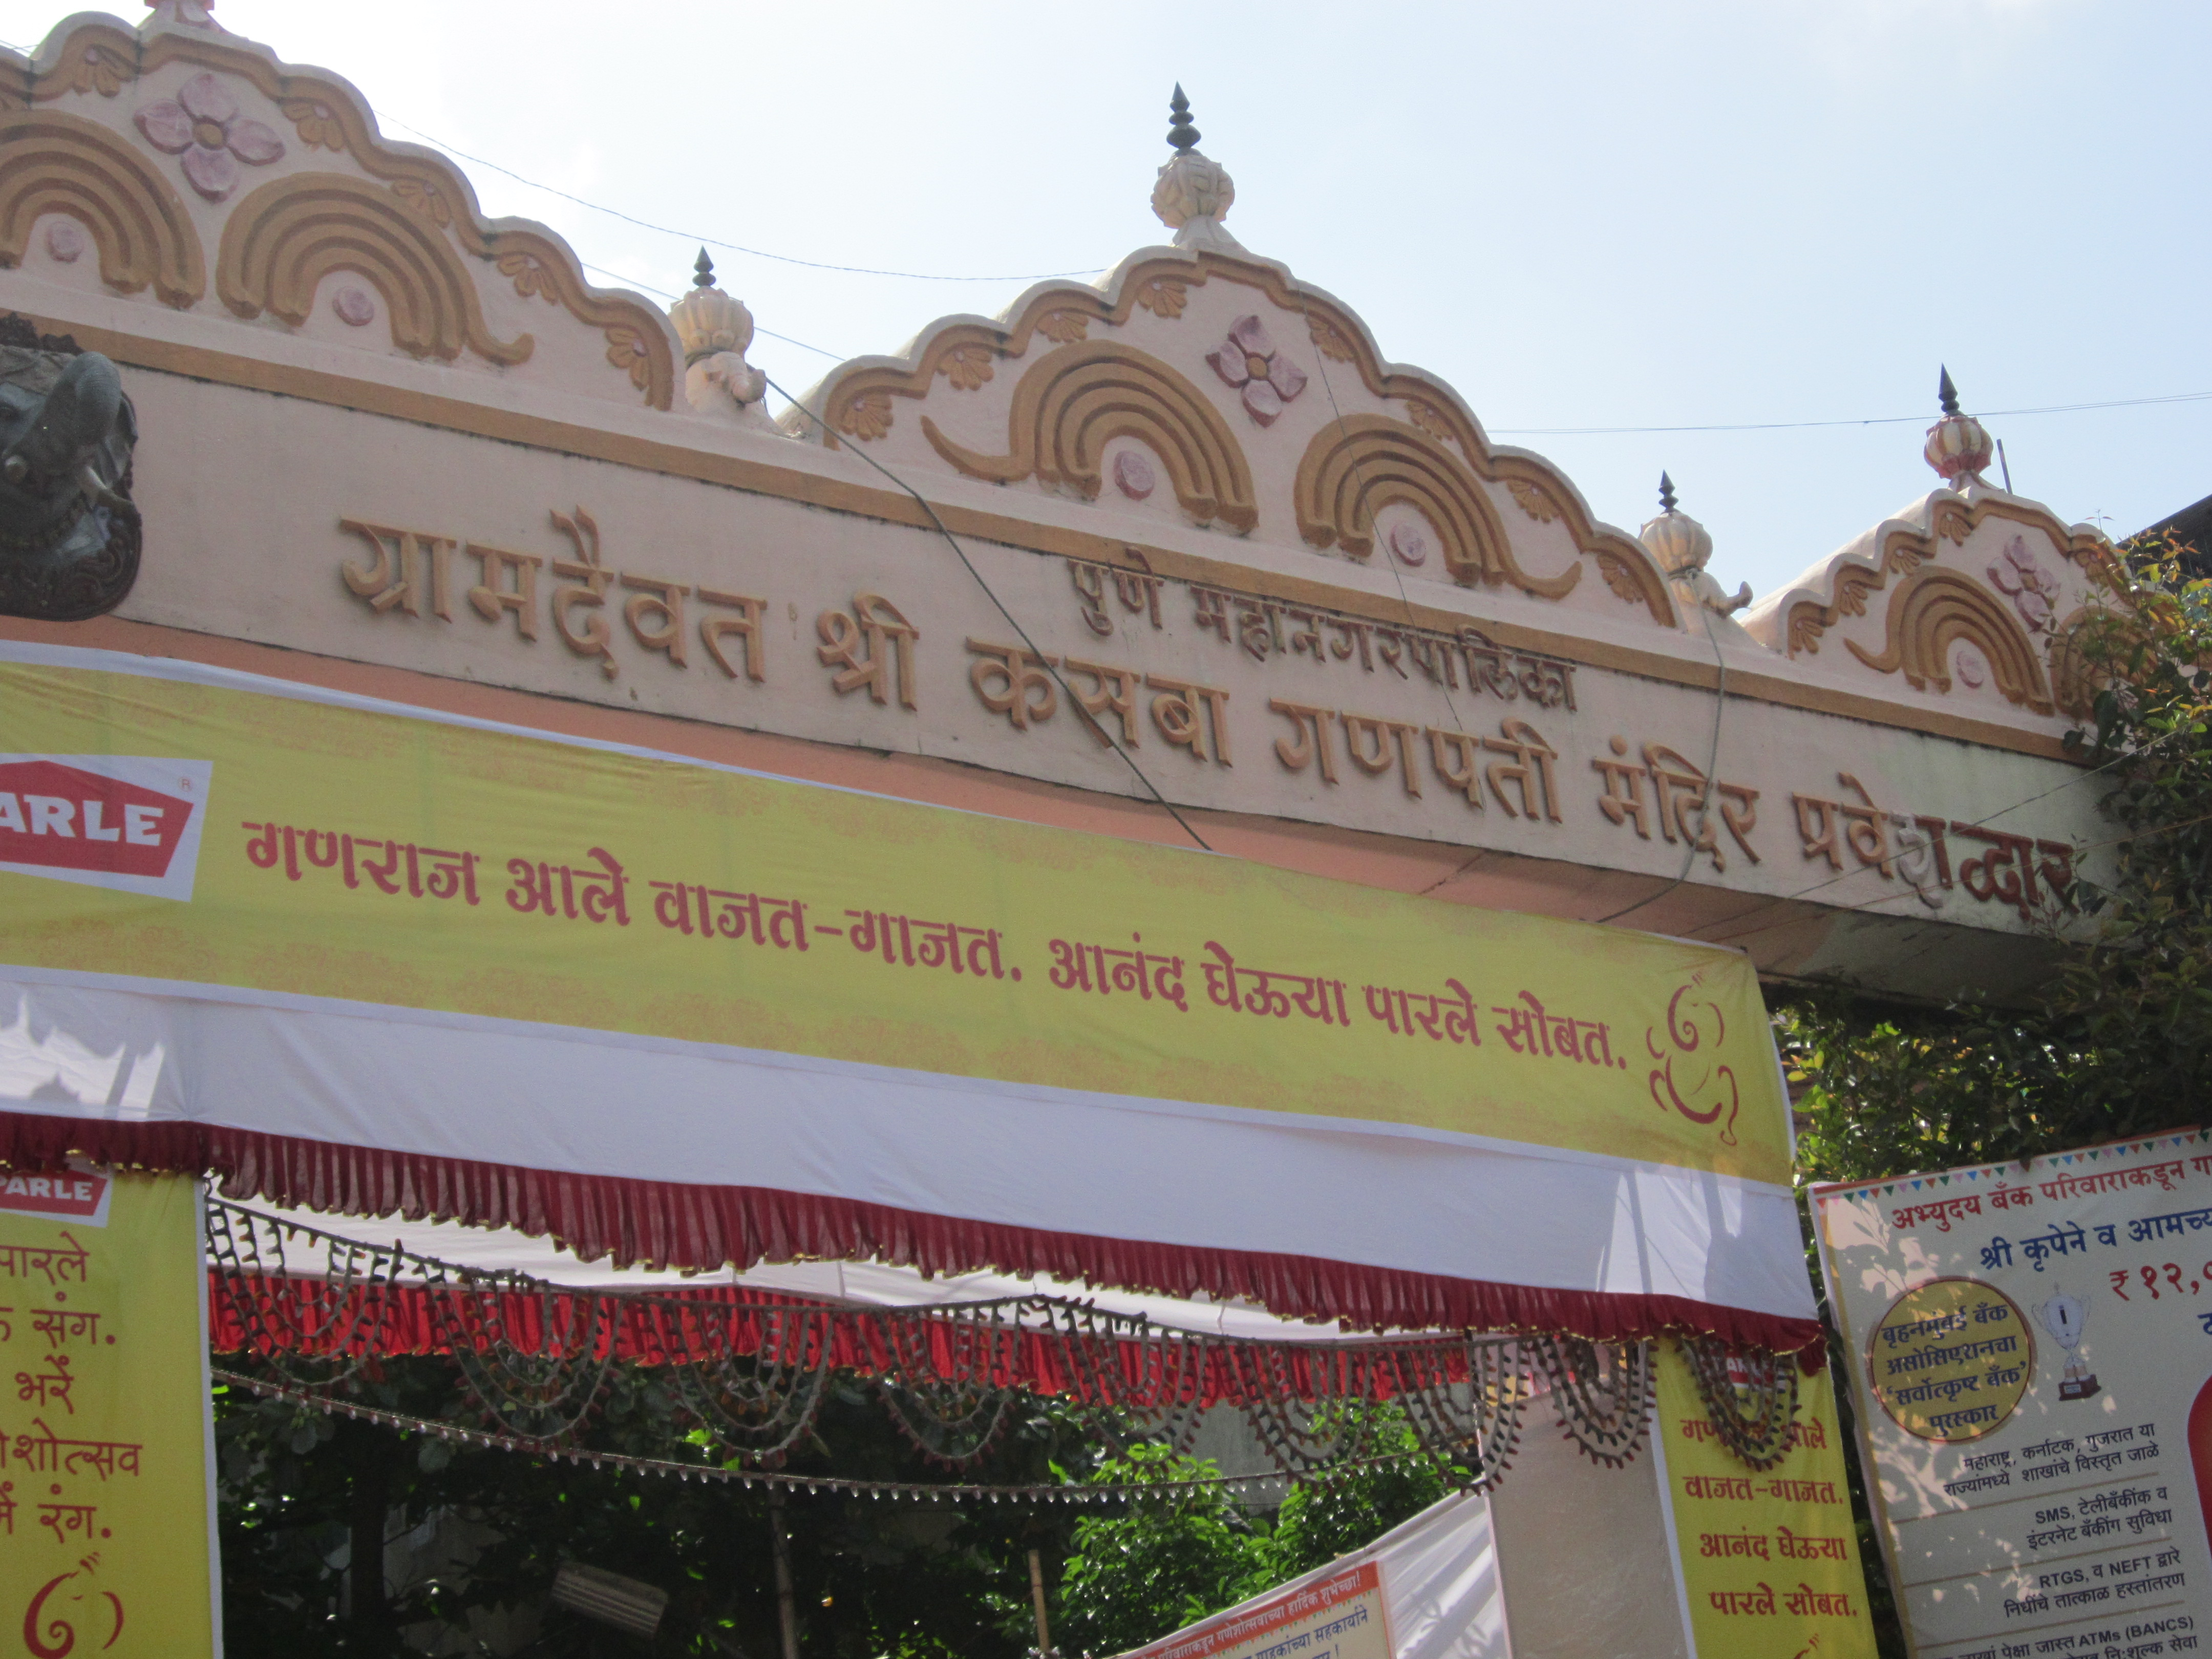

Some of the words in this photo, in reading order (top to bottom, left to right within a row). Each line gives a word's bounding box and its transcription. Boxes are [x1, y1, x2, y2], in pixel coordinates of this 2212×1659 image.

[330, 501, 771, 688] ग्रामदैवत
[1061, 545, 1166, 638] पुणे
[798, 577, 939, 730] श्री
[1187, 575, 1586, 713] महानगरपालिका
[956, 633, 1233, 771] कसबा
[1262, 693, 1565, 826] गणपती
[0, 784, 169, 857] ARLE
[1581, 733, 1779, 884] मंदिर
[1788, 764, 1959, 914] प्रवेश
[241, 818, 495, 907] गणराज
[486, 834, 635, 933] आले
[1951, 816, 2086, 928] द्वार
[651, 875, 810, 953] वाजत
[841, 902, 1010, 985] गाजत
[1035, 923, 1193, 1021] आनंद
[1198, 945, 1349, 1028] घेऊया
[1358, 965, 1481, 1055] पारले
[1490, 985, 1623, 1073] सोबत
[0, 1233, 92, 1294] पारले
[1881, 1186, 1993, 1243] अभ्युदय
[1971, 1232, 2019, 1275] श्री
[1972, 1172, 2046, 1217] बँक
[2012, 1211, 2094, 1281] कृपेने
[2089, 1206, 2125, 1251] व
[2033, 1151, 2192, 1206] परिवाराकडून
[2124, 1199, 2208, 1244] आमच्‍य
[22, 1285, 126, 1355] संग.
[1876, 1292, 1979, 1352] बृहनमुंबई
[1964, 1287, 2015, 1331] बँक
[10, 1341, 80, 1418] भरें
[1887, 1365, 1989, 1409] सर्वोत्कृष्ट
[1880, 1327, 2026, 1379] असोसिएशनचा
[1985, 1354, 2032, 1394] बँक '
[29, 1473, 114, 1549] रंग.
[2, 1409, 148, 1486] शोत्सव
[1211, 1600, 1292, 1648] गणेशोत्सवाच्या
[1257, 1625, 1314, 1658] गहकांच्या
[1276, 1581, 1331, 1622] हार्दिक
[1314, 1572, 1363, 1610] शुभेच्छा !
[1313, 1598, 1376, 1646] सहकार्याने
[1679, 1470, 1755, 1506] वाजत
[1697, 1528, 1771, 1560] आनंद
[1708, 1578, 1775, 1621] पारले
[1764, 1472, 1842, 1510] गाजत
[1773, 1526, 1855, 1564] घेऊया
[1782, 1578, 1855, 1621] सोबत
[1924, 1397, 2006, 1441] पुरस्कार
[1941, 1467, 2014, 1499] राज्यांमध्ये
[1959, 1444, 2015, 1475] महाराष्ट्र
[1995, 1640, 2035, 1657] पेक्षा
[2001, 1586, 2055, 1619] निधींचे
[2017, 1451, 2074, 1486] शाखांचे
[2018, 1434, 2082, 1461] कर्नाटक
[2019, 1518, 2081, 1552] इंटरनेट
[2028, 1501, 2075, 1524] SMS,
[2030, 1632, 2077, 1654] जास्त
[2036, 1560, 2088, 1592] RTGS
[2047, 1581, 2113, 1610] तात्काळ
[2087, 1558, 2109, 1582] व
[2072, 1447, 2128, 1478] विस्तृत
[2077, 1507, 2124, 1541] बँकींग
[2075, 1627, 2126, 1649] ATMs
[2085, 1422, 2137, 1456] गुजरात
[2074, 1484, 2154, 1518] टेलीबँकींक
[2106, 1552, 2154, 1579] NEFT
[2122, 1435, 2164, 1466] जाळे
[2134, 1416, 2160, 1439] या
[2123, 1503, 2177, 1536] सुविधा
[2112, 1569, 2188, 1604] हस्तांतरण
[2126, 1608, 2195, 1640] BANCS)
[2150, 1479, 2172, 1503] व
[2154, 1541, 2185, 1571] द्वारे
[2165, 1628, 2203, 1656] सेवा